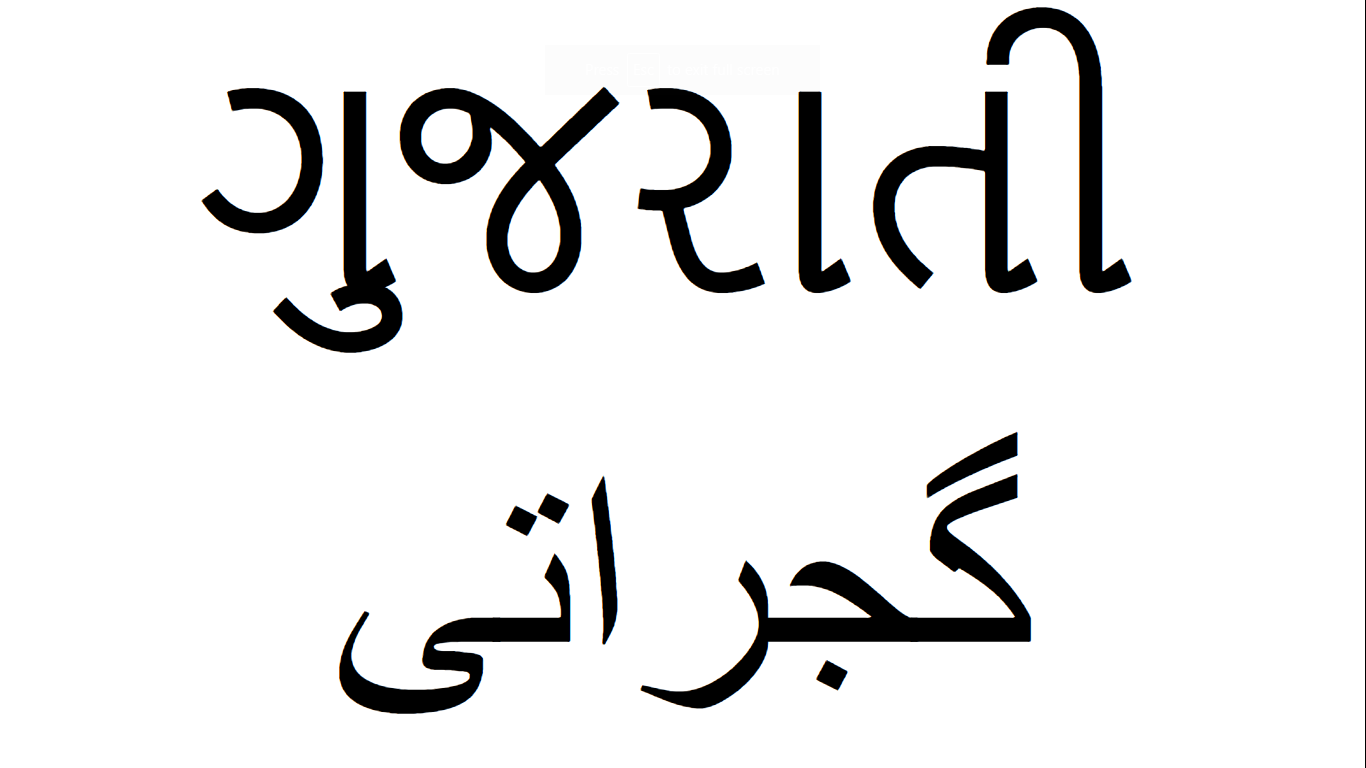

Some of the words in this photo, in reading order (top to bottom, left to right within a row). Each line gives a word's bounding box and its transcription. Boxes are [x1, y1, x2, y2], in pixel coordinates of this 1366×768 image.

[186, 9, 1166, 362] ગુજરાતી
[300, 411, 1075, 739] گجراتی